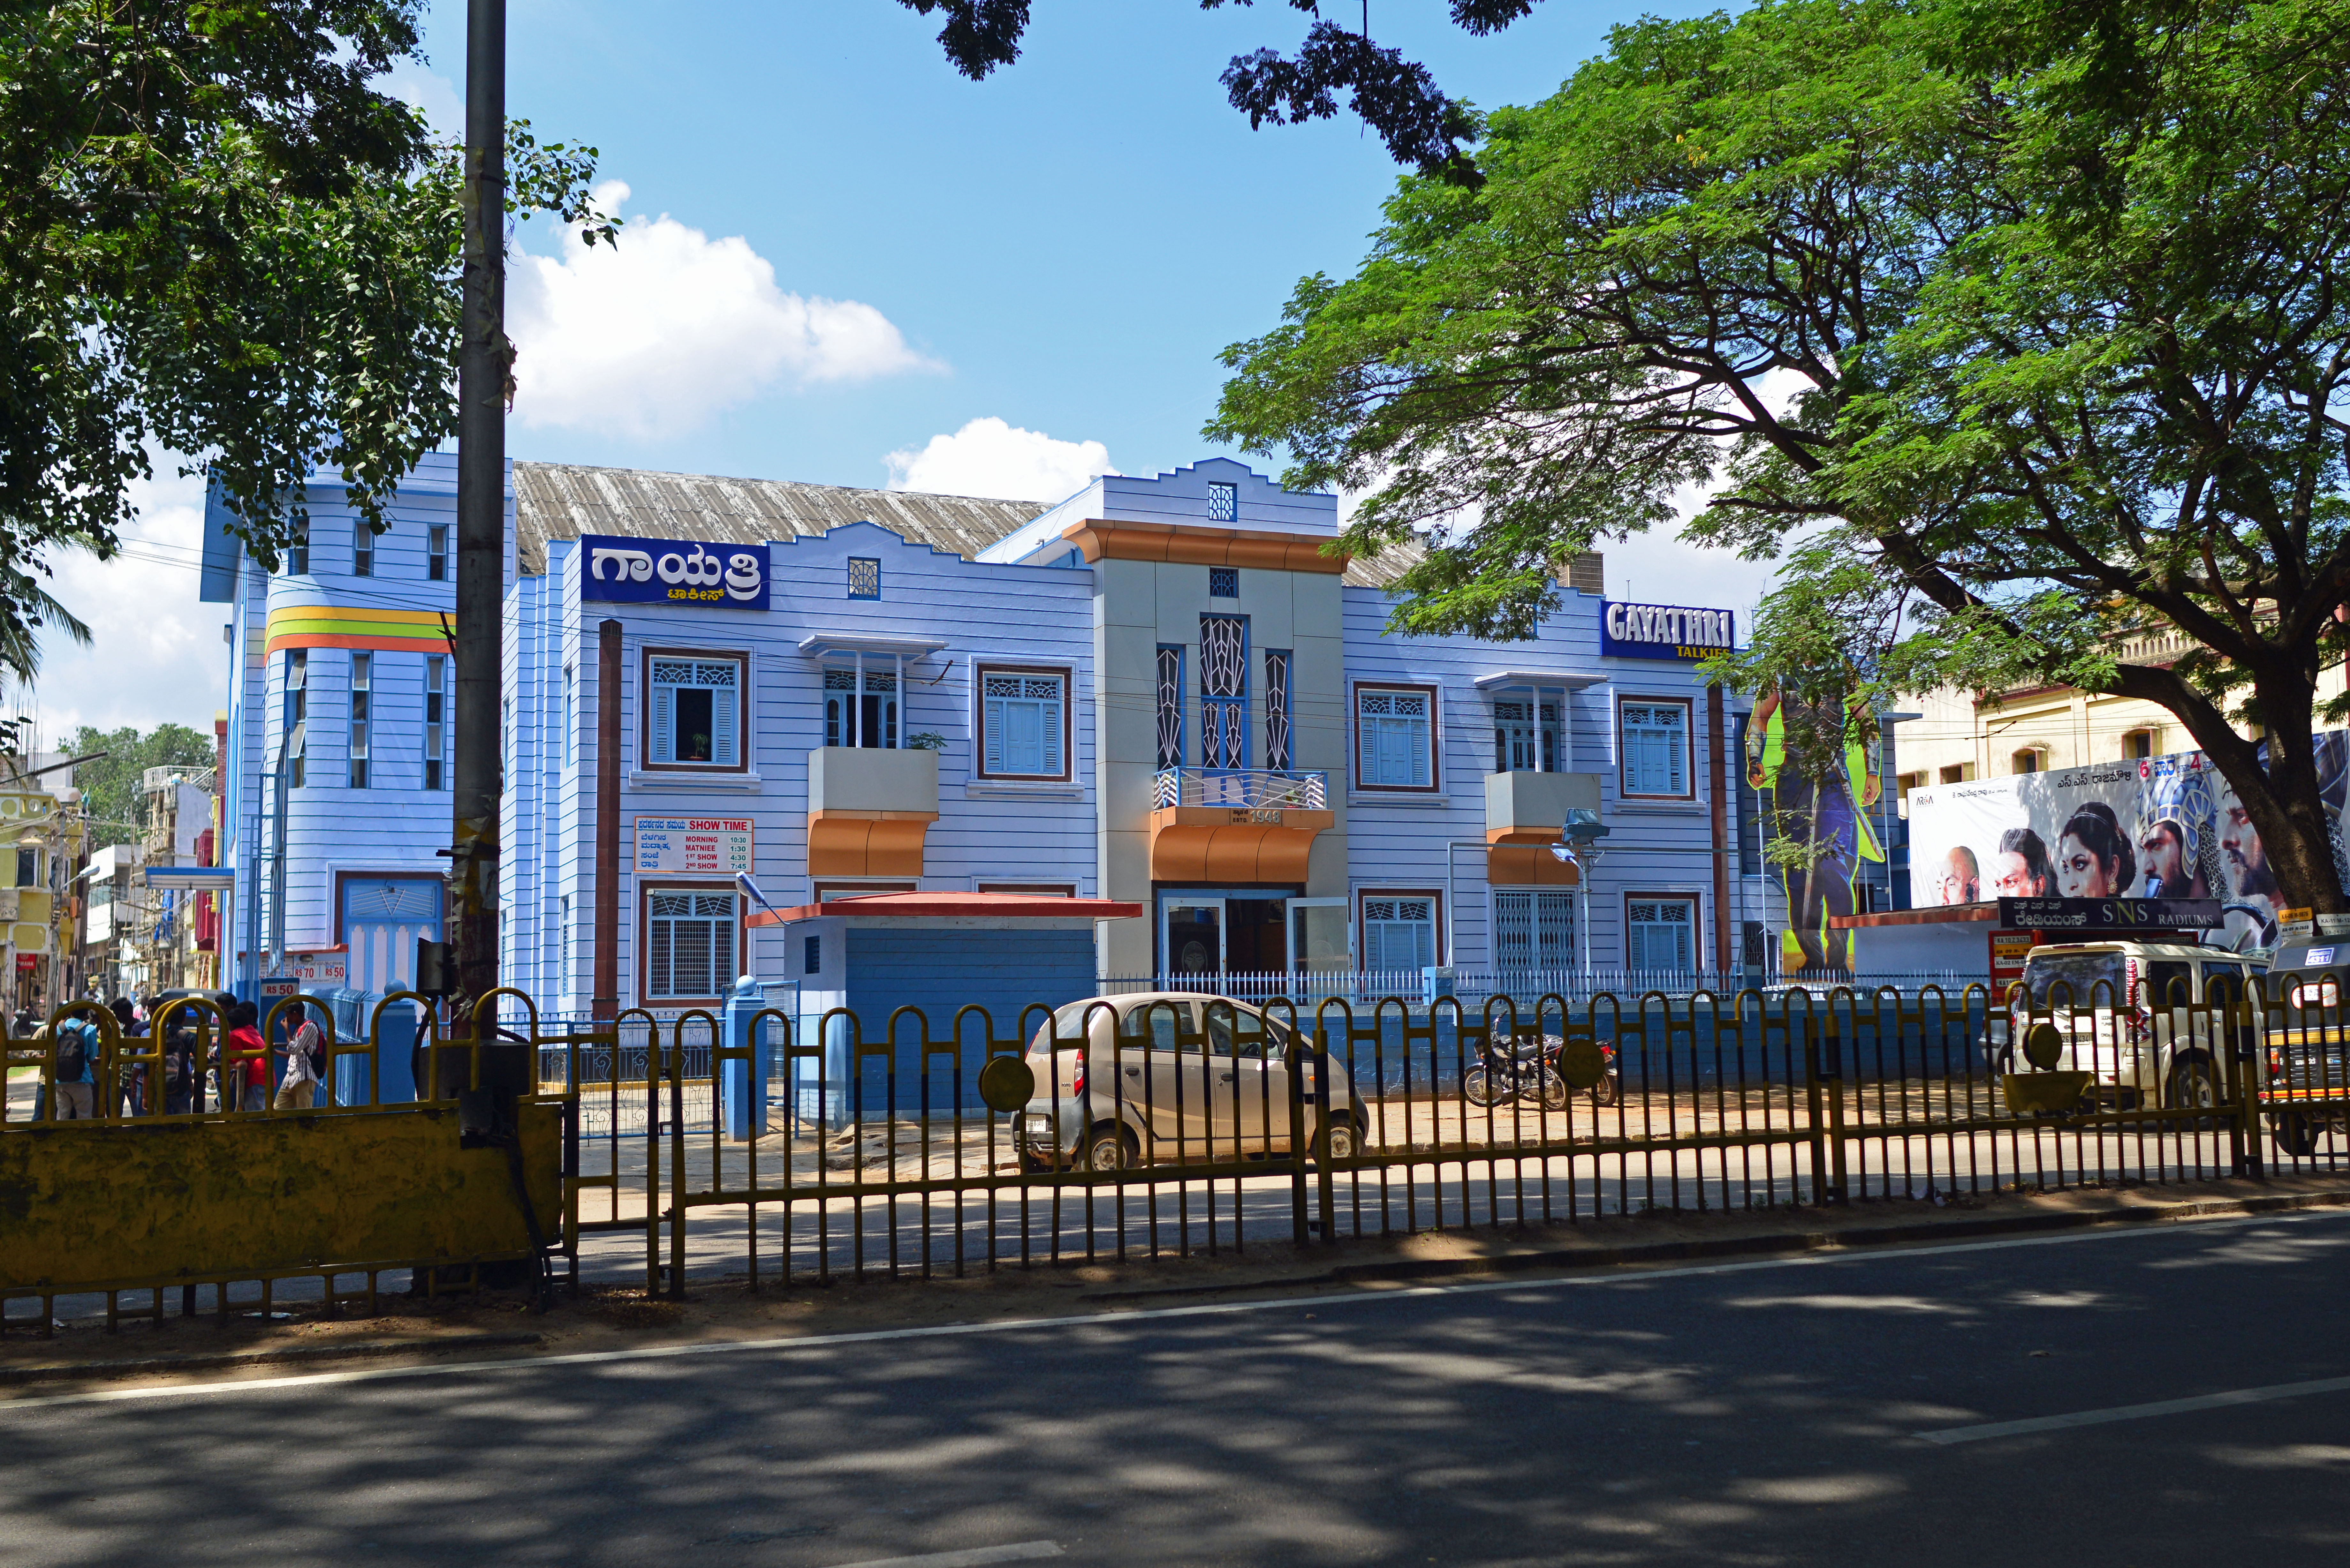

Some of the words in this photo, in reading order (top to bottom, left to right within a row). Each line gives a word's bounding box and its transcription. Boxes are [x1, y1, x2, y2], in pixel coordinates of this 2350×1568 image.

[587, 536, 765, 604] ಗಾಯತ್ರ
[664, 582, 727, 602] ಟಾಕೀಸ್
[1603, 601, 1733, 651] GAYATHRI
[1674, 645, 1733, 663] TALKIES
[2136, 755, 2176, 781] 6ವಾರ
[2055, 768, 2092, 789] ಎಸಿಎಸಿ
[2090, 767, 2134, 786] ರಾಜಮೌಳಿ
[634, 813, 669, 834] ಪ್ರದರ್ಶನದ
[663, 813, 690, 832] ಸಮಯ
[684, 813, 723, 833] SHOW
[720, 818, 747, 834] TIME
[639, 848, 661, 861] ಸಂಜೆ
[639, 859, 661, 871] ರಾತ್ರಿ
[636, 830, 667, 843] ಬೆಳಗಿನ
[637, 836, 674, 853] ಮದ್ಯಾಹ್ನ
[684, 849, 718, 862] 1STSHOW
[683, 833, 720, 844] MORNING
[683, 841, 720, 854] MATNIEE
[683, 861, 720, 871] 2NDSHOW
[724, 852, 748, 864] 4:30
[725, 862, 749, 873] 7:45
[728, 835, 749, 846] 10:30
[730, 844, 748, 854] 1:30
[2006, 898, 2031, 912] ಎಸ್
[2028, 900, 2050, 914] ಎನ್ :
[2010, 904, 2090, 928] ರೇಡಿಯಂಸ್
[2045, 898, 2065, 912] ಎಸ್
[2096, 894, 2150, 926] SNS
[2155, 910, 2217, 927] RADIUMS
[293, 965, 315, 979] RS70
[325, 965, 347, 978] RS50
[262, 983, 295, 995] RS50